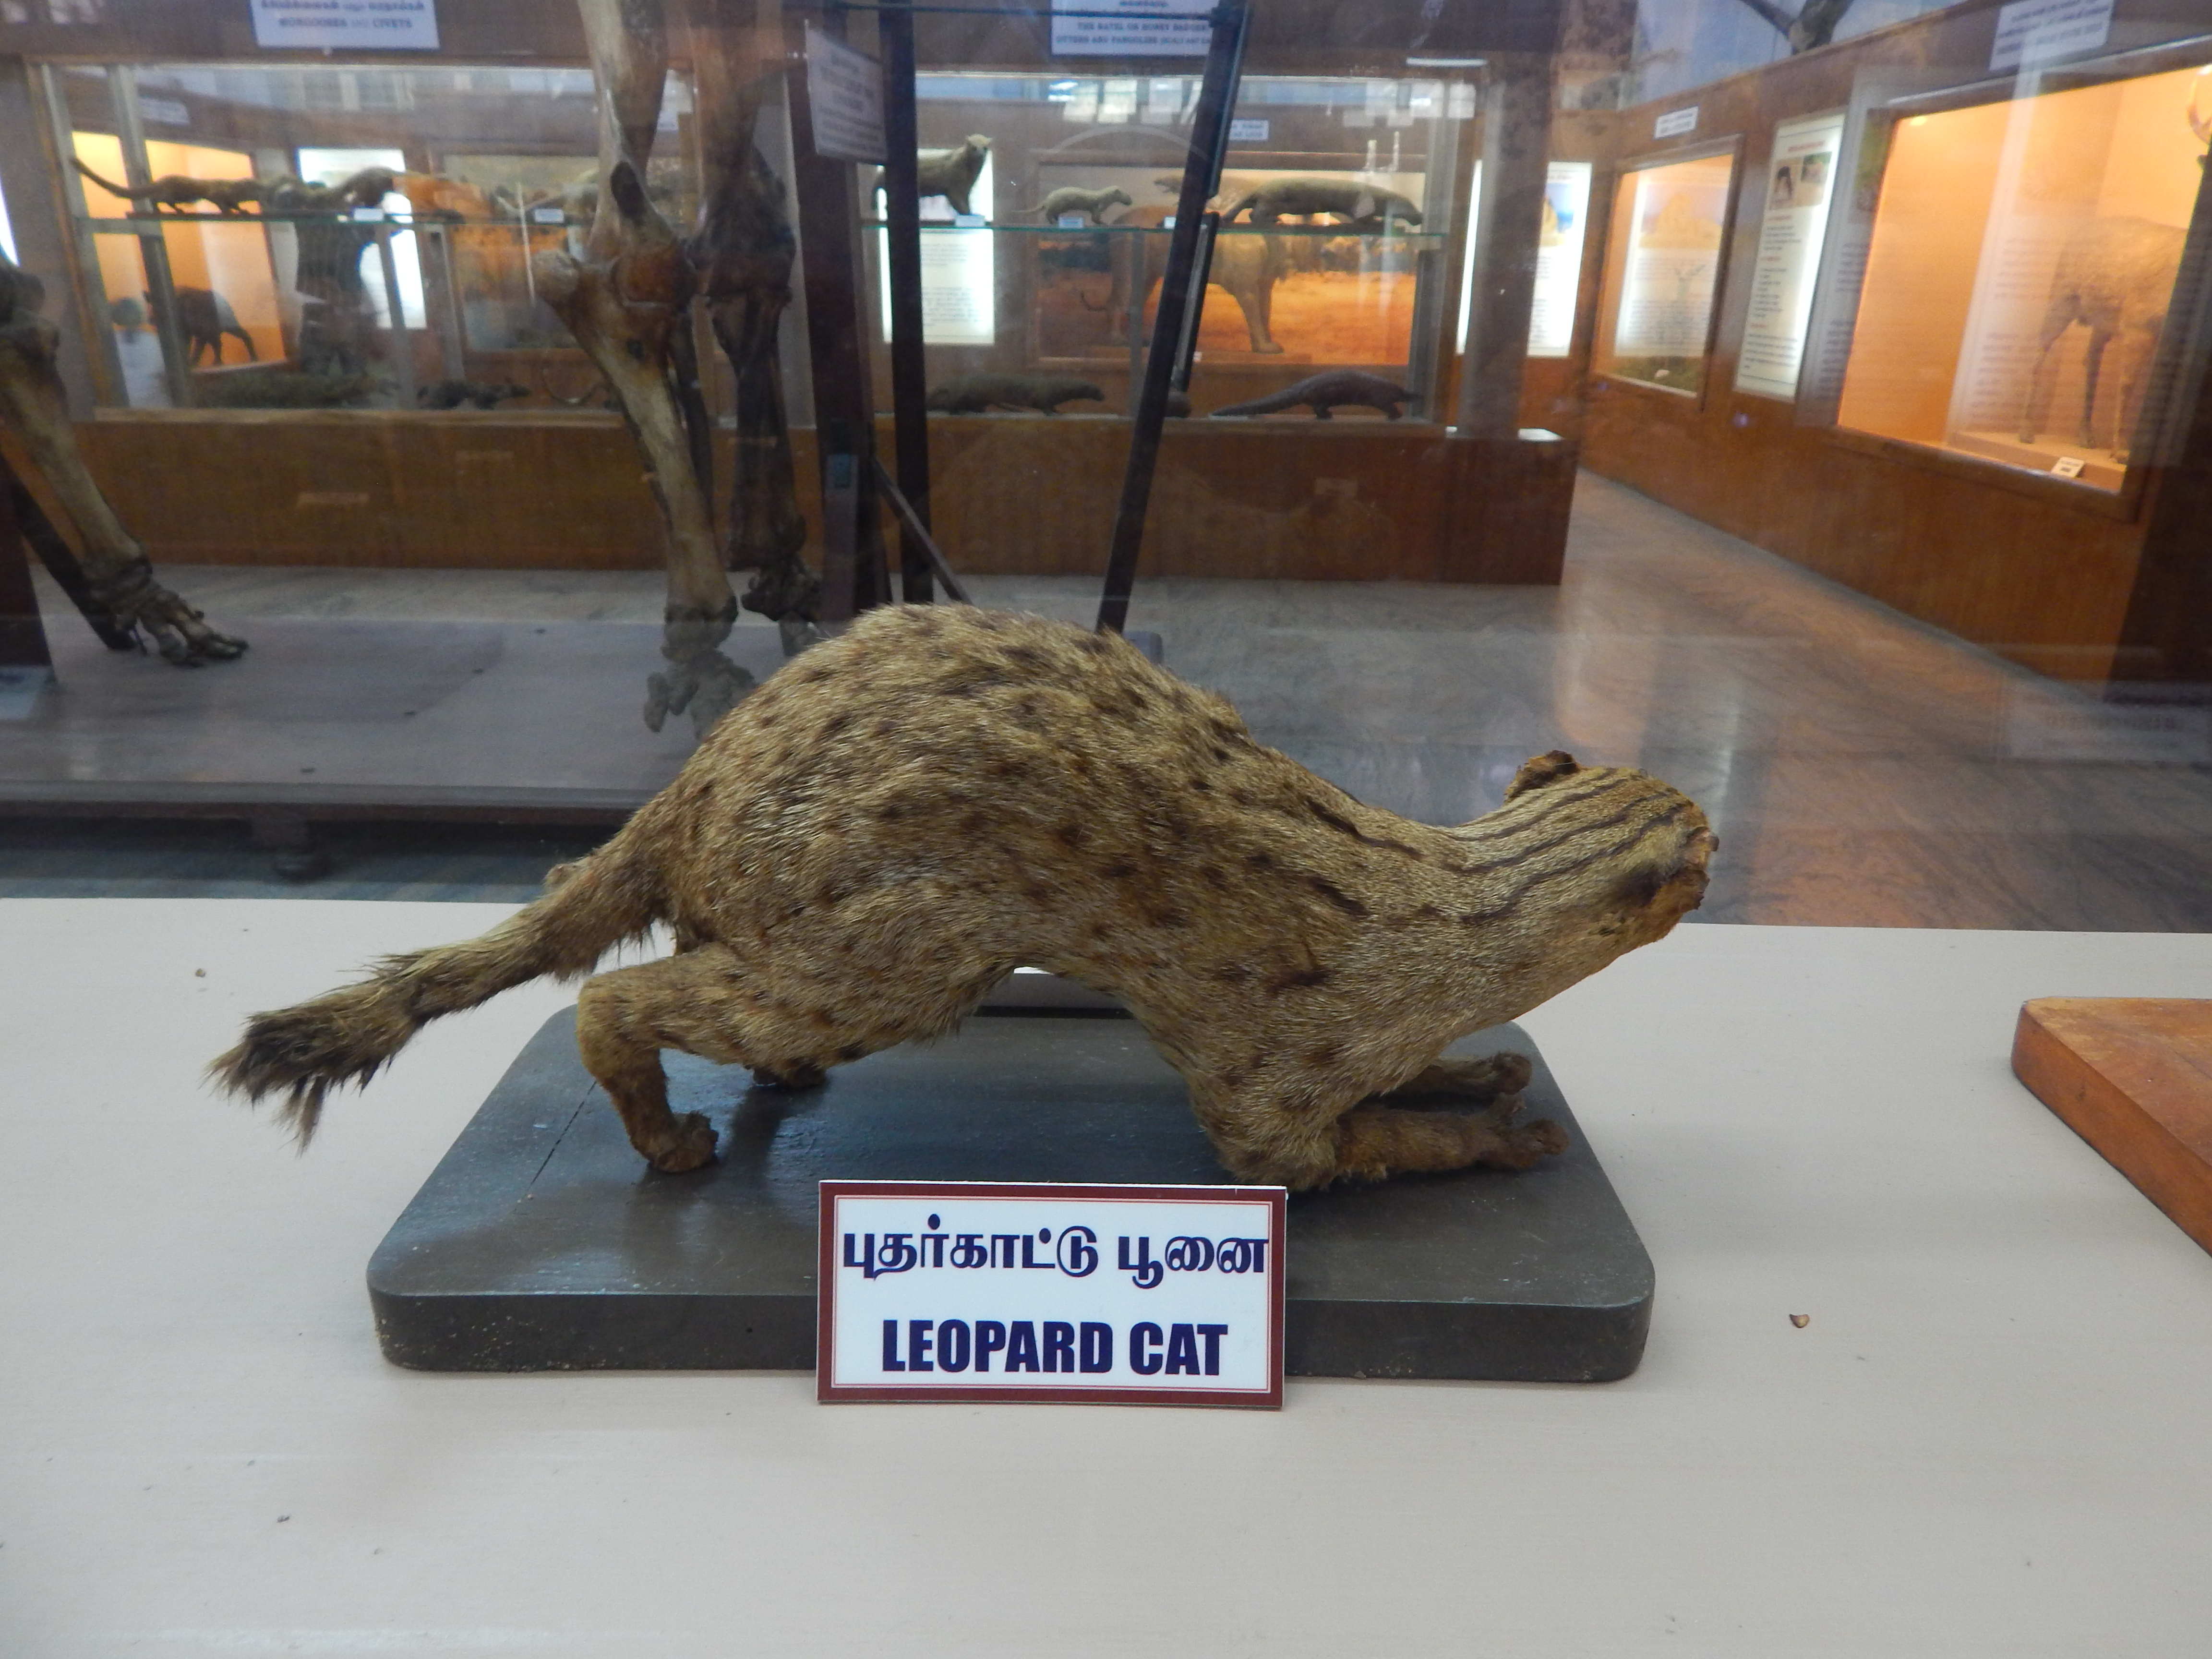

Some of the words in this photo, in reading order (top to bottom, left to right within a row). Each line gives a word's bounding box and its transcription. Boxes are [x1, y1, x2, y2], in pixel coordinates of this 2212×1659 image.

[841, 1206, 1103, 1283] புதா்காட்டு
[1113, 1229, 1276, 1295] பூனை
[879, 1315, 1116, 1377] LEOPARD
[1128, 1319, 1231, 1379] CAT